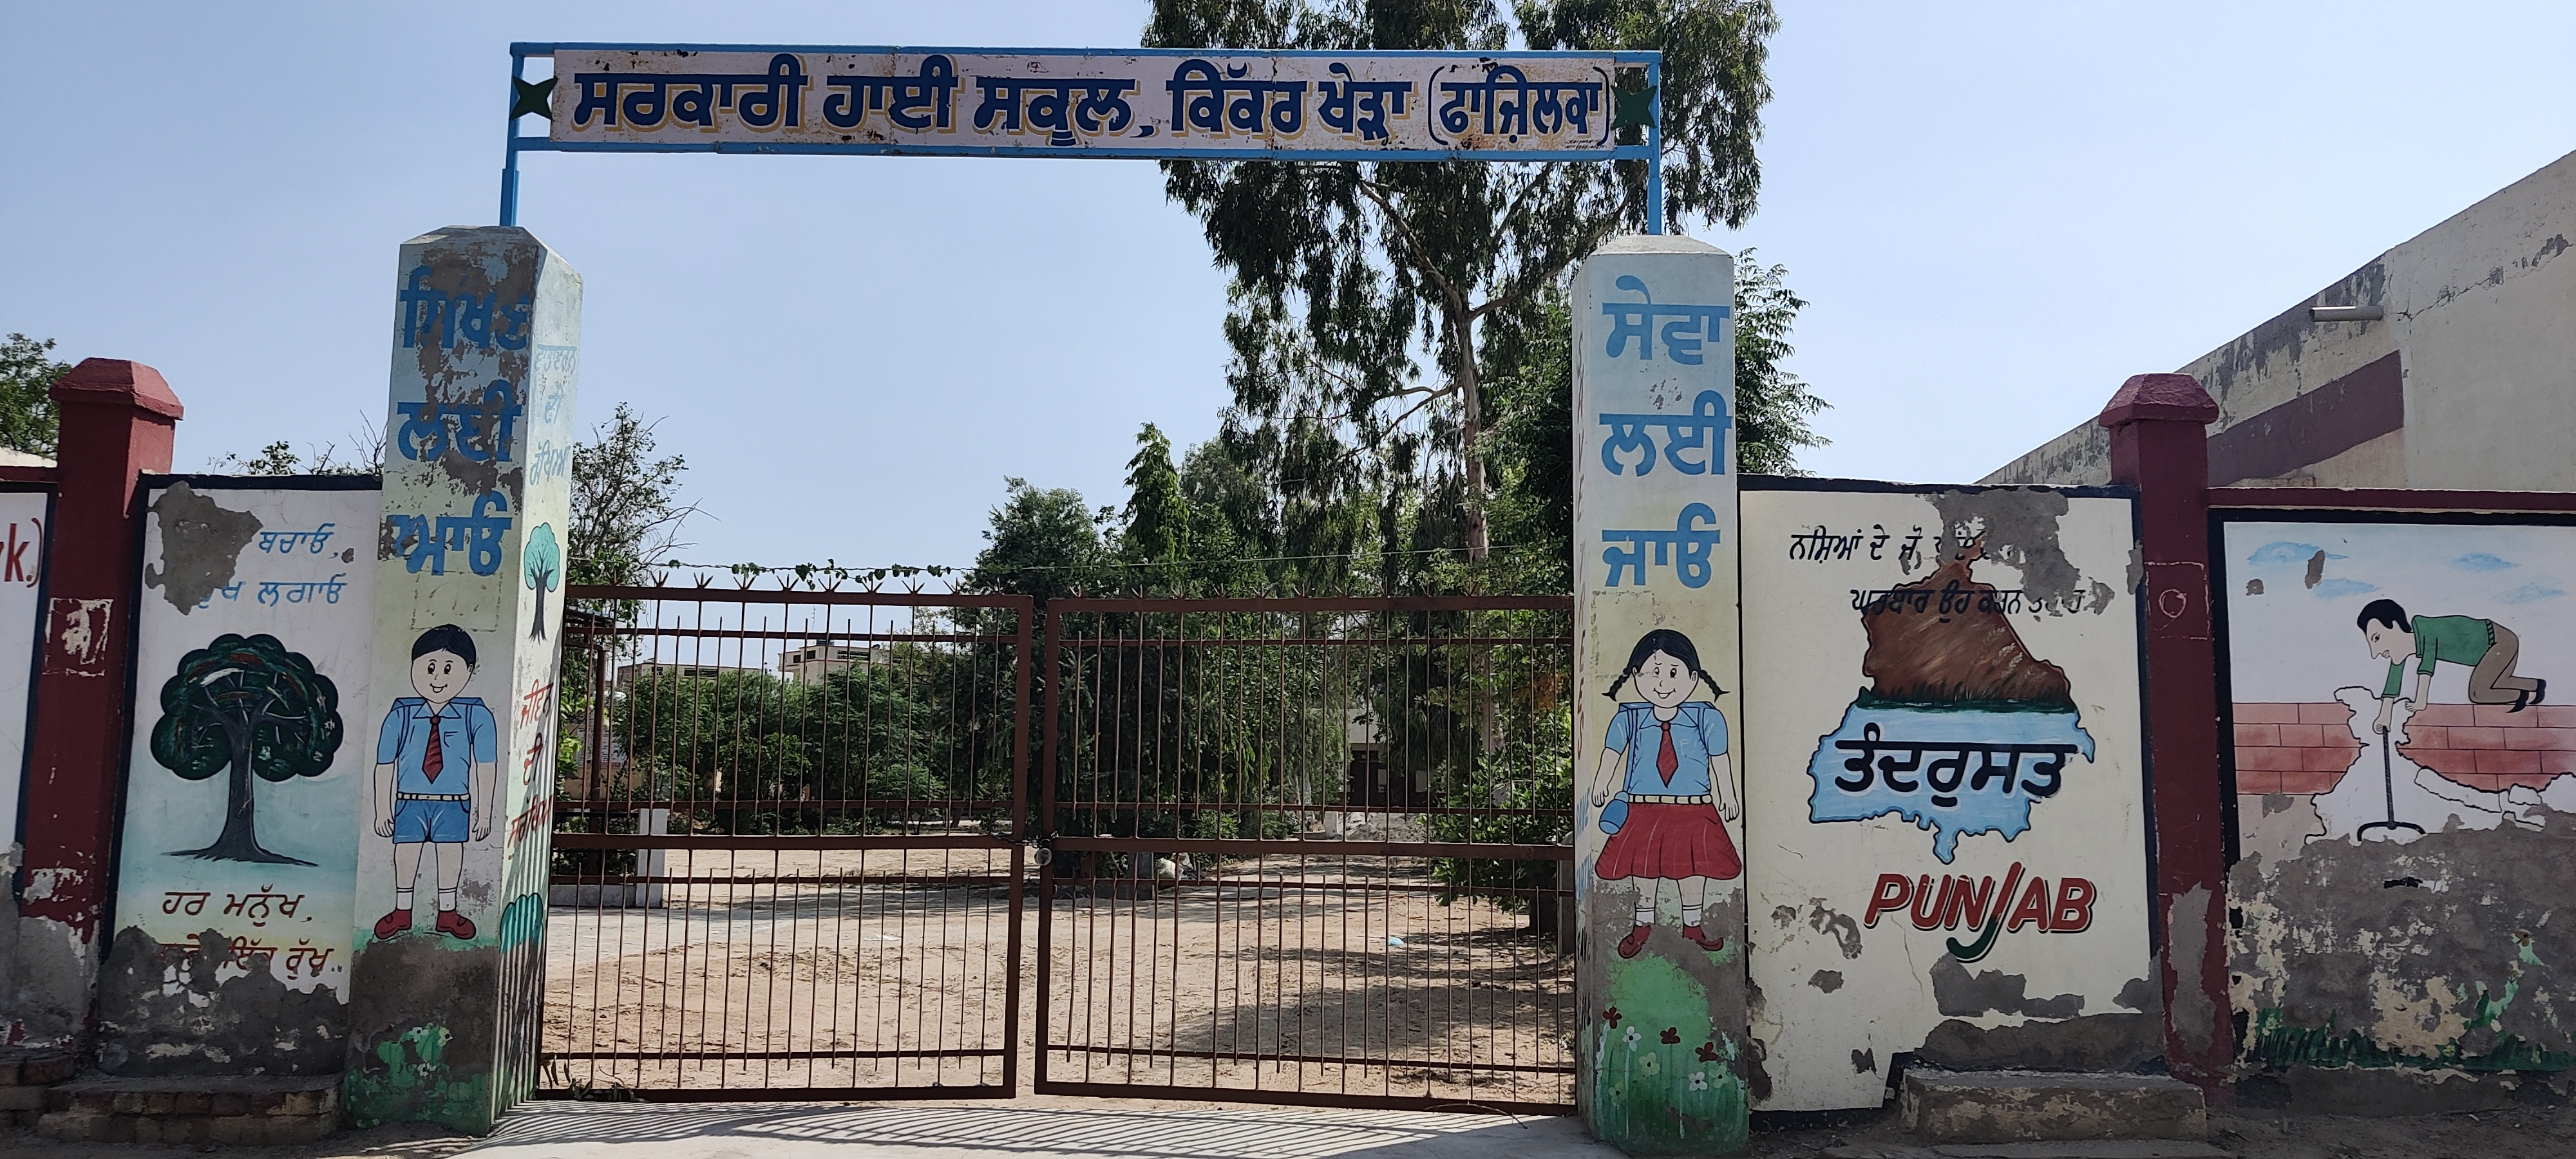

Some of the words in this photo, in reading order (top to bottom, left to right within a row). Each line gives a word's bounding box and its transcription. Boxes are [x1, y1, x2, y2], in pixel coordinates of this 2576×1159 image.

[561, 46, 819, 140] ਸਰਕਾਰੀ
[815, 49, 970, 145] ਹਾਈ
[962, 69, 1148, 149] ਸਕੂਲ
[1154, 55, 1314, 150] ਕਿੱਕਰ
[1311, 57, 1423, 149] ਖੇੜਾ
[1432, 59, 1604, 150] ਫਾਜ਼ਿਲਕ
[1591, 269, 1735, 371] ਸੇਵਾ
[1587, 382, 1736, 487] ਲਈ
[2, 509, 36, 587] K.
[254, 516, 340, 558] ਬਚਾਓ
[249, 567, 355, 610] ਲਗਾਓ
[379, 482, 518, 585] ਆਓ
[1593, 499, 1726, 598] ਜਾੳ
[1783, 520, 1866, 570] ਨਸ਼ਿਆਂ
[1861, 516, 1897, 565] ਦੇ
[1844, 581, 1938, 619] ਘਰਬਾਰ
[1890, 519, 1928, 563] ਜੋ
[1930, 575, 1978, 630] ਉੁਹ
[1828, 719, 2086, 817] ਤੰਦਰੁਸਤ
[154, 889, 216, 921] ਹਰ
[215, 880, 310, 930] ਮਨੁੱਖ
[1852, 858, 2105, 964] PUN/AB
[278, 935, 339, 985] ਰੁੱਖ